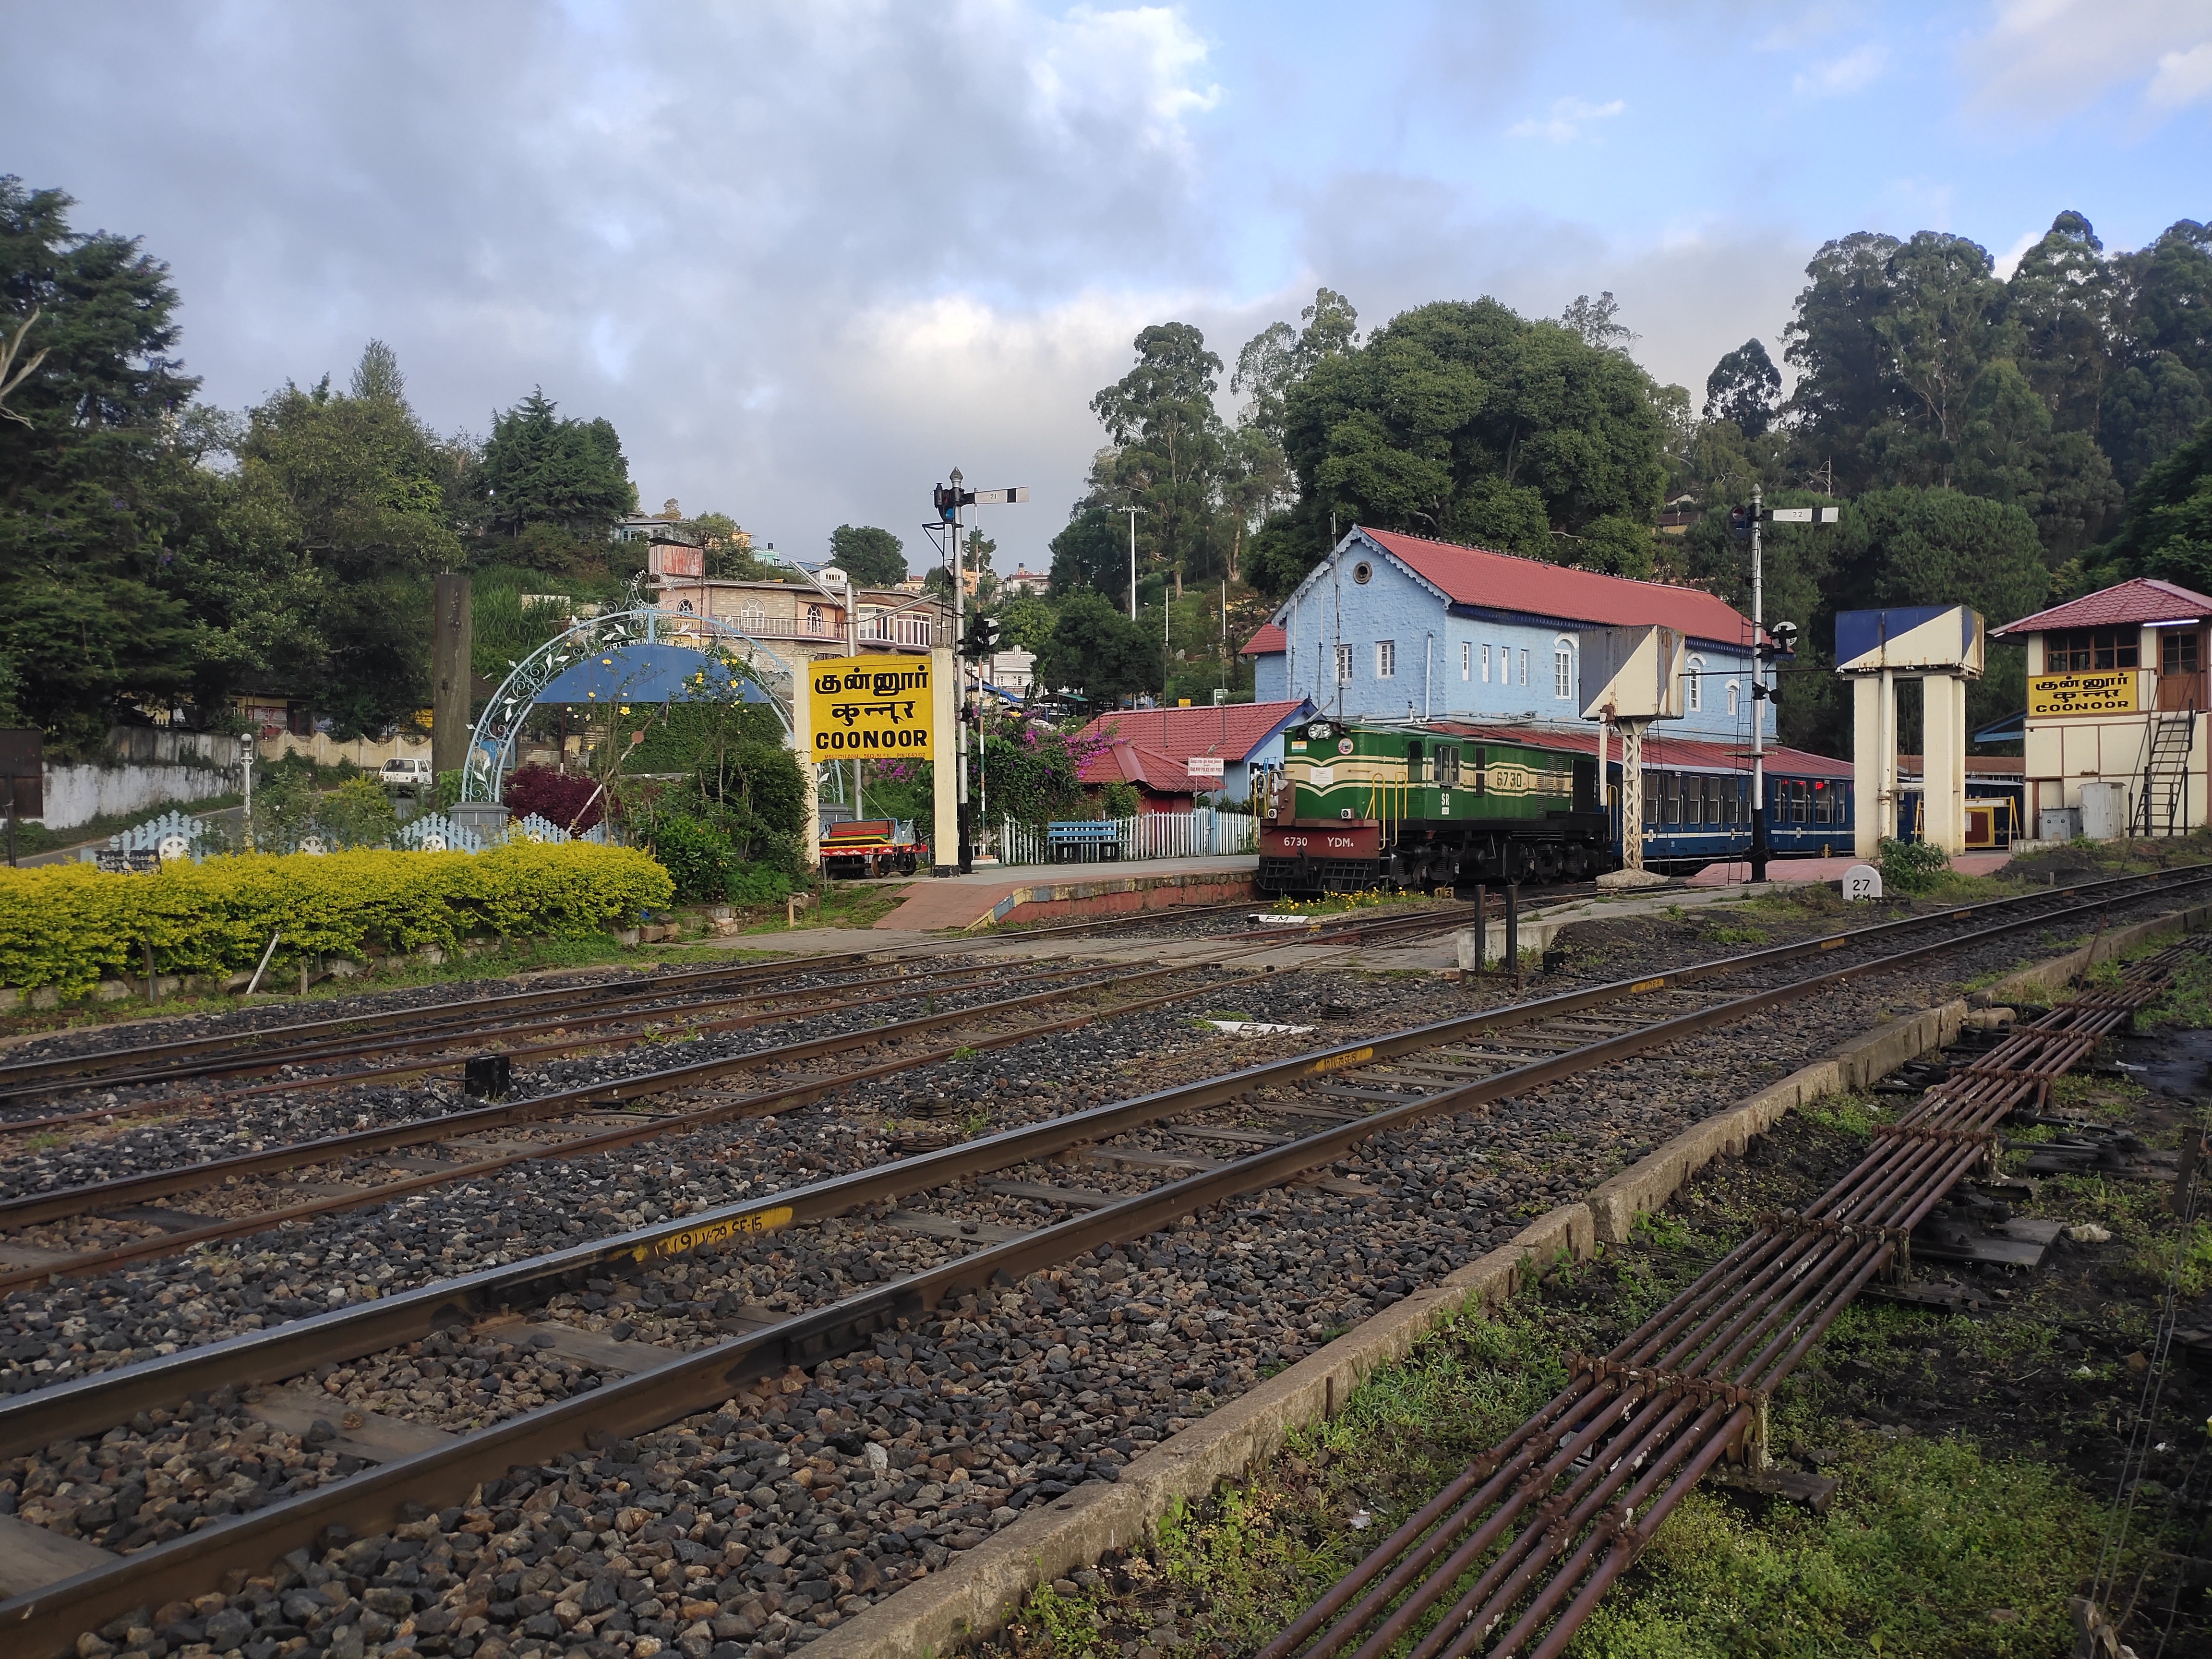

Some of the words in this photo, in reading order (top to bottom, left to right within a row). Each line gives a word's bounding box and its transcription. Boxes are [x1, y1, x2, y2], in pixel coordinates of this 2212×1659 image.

[812, 660, 931, 699] குன்னூா்
[830, 698, 918, 729] कुन्नूर
[815, 728, 932, 752] COONOOR